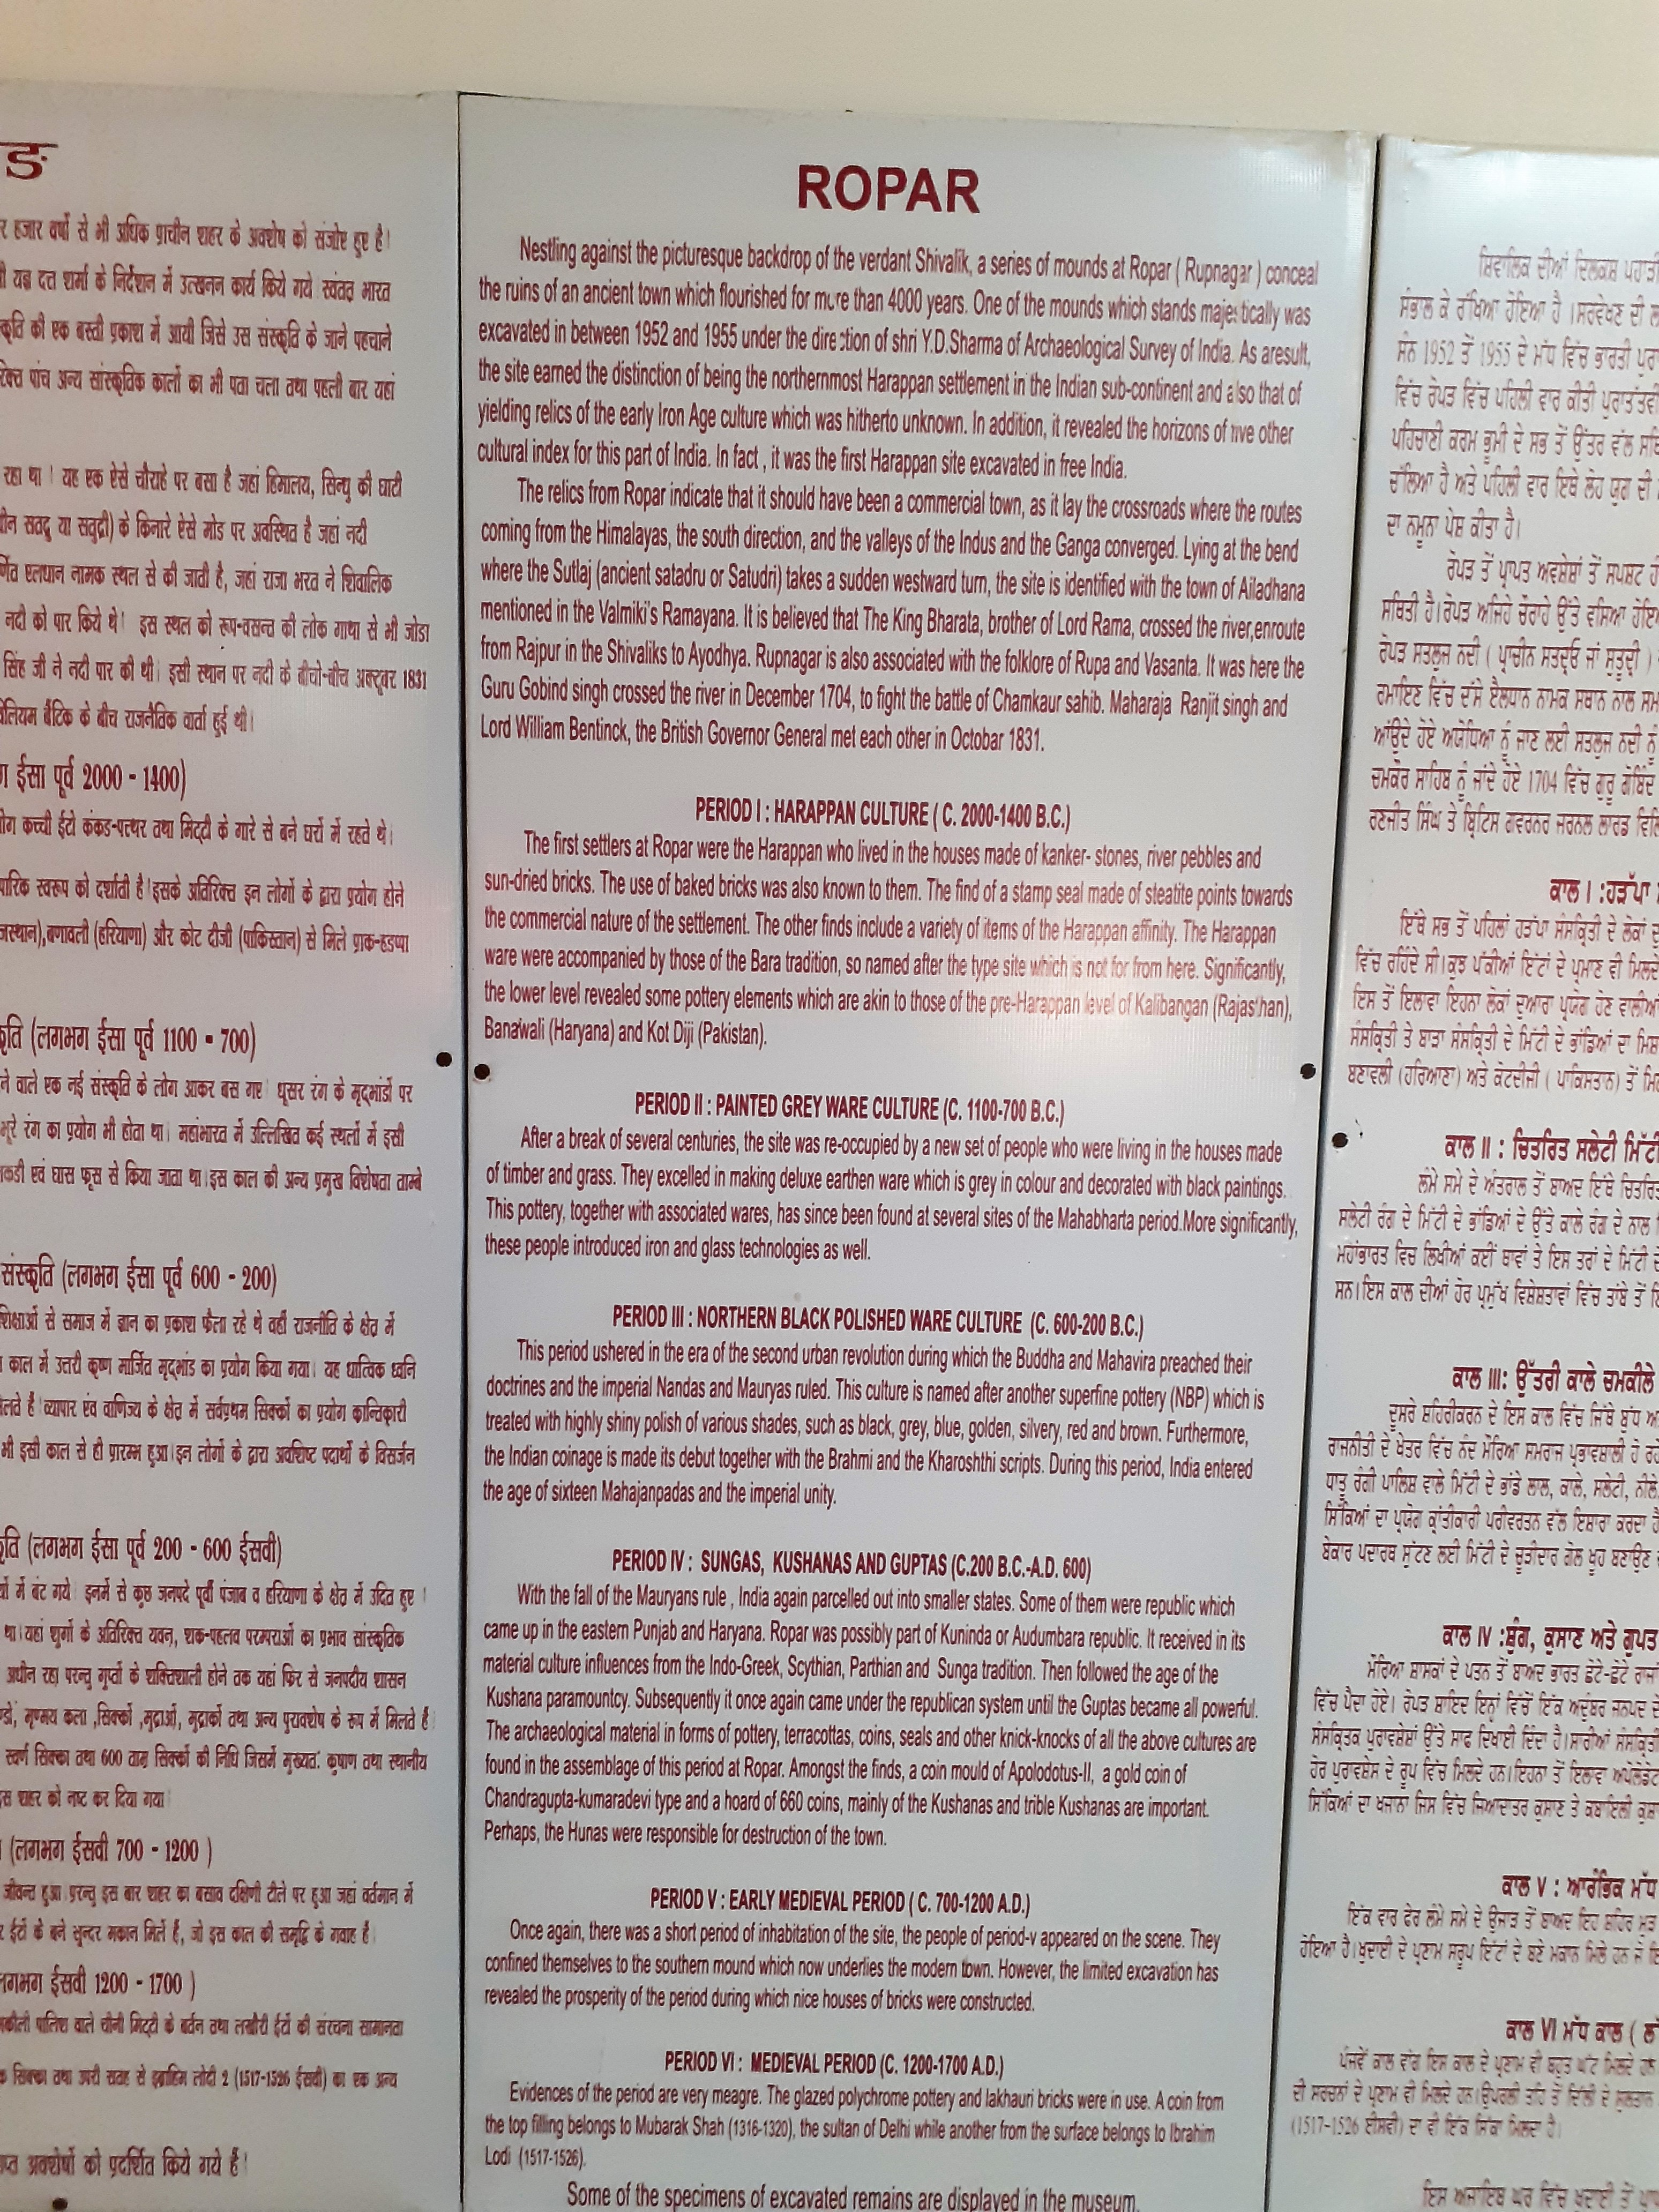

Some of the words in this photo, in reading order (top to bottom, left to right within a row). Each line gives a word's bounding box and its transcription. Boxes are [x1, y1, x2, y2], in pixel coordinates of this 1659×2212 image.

[727, 1887, 778, 1911] EARLY
[752, 1985, 791, 2011] which
[758, 1952, 797, 1979] which
[756, 1919, 832, 1946] inhabitation
[789, 1987, 821, 2011] nice
[796, 1957, 826, 1979] now
[776, 1888, 850, 1914] MEDIEVAL
[831, 1920, 848, 1945] of
[820, 1986, 870, 2011] houses
[825, 1953, 885, 1981] underlies
[847, 1921, 870, 1949] the
[870, 1986, 885, 2011] of
[849, 1888, 909, 1916] PERIOD
[870, 1920, 897, 1951] site
[884, 1955, 909, 1983] the
[885, 1986, 924, 2012] bricks
[899, 1923, 922, 1947] the
[916, 1888, 933, 1915] C.
[908, 1956, 960, 1982] modem
[924, 1991, 960, 2014] were
[933, 1888, 960, 1916] 700
[924, 1924, 970, 1954] people
[958, 1956, 993, 1982] town.
[969, 1923, 987, 1949] of
[962, 1889, 996, 1916] 1200
[958, 1990, 1034, 2012] constructed.
[995, 1889, 1027, 1917] A.D.
[983, 1924, 1039, 1952] period-v
[995, 1955, 1053, 1980] However
[1055, 1956, 1079, 1982] the
[1039, 1925, 1101, 1953] appeared
[1079, 1953, 1125, 1983] limited
[1101, 1927, 1122, 1950] on
[1120, 1923, 1145, 1950] the
[1125, 1960, 1195, 1983] excavation
[1144, 1929, 1183, 1950] scene
[1188, 1926, 1225, 1957] They
[1194, 1958, 1222, 1986] has
[1295, 1927, 1339, 1965] ਹੋਇਆ
[1336, 1930, 1355, 1965] ਹੈ
[1343, 1897, 1378, 1930] ਇੱਕ
[1355, 1933, 1396, 1965] ਖੁਦਾਈ
[1374, 1902, 1401, 1929] ਵਾਰ
[1394, 1932, 1410, 1964] ਦੇ
[1400, 1896, 1424, 1930] ਫੇਰ
[1409, 1934, 1445, 1968] ਪ੍ਰਣਾਮ
[1423, 1896, 1449, 1931] ਲੇਮੇ
[1448, 1899, 1472, 1933] ਸਮੇ
[1444, 1933, 1477, 1973] ਸਰੂਪ
[1470, 1901, 1484, 1932] ਦੇ
[1476, 1933, 1511, 1968] ਇਟਾਂ
[1484, 1902, 1521, 1937] ਉਜਾੜ
[1496, 1871, 1534, 1898] ਕਾਲ
[1509, 1933, 1525, 1968] ਦੇ
[1519, 1903, 1539, 1934] ਤੇਂ
[1525, 1933, 1547, 1967] ਬਣੇ
[1533, 1870, 1551, 1900] V
[1537, 1907, 1576, 1933] ਬਾਅਦ
[1548, 1940, 1583, 1968] ਮਕਾਨ
[1574, 1904, 1603, 1934] ਇਹ
[1581, 1933, 1609, 1968] ਮਿਏ
[1564, 1864, 1631, 1905] ਆਰੰਭਿਕ
[33, 2007, 72, 2039] पालिश
[70, 2008, 96, 2039] वाले
[96, 2007, 128, 2039] चीनी
[124, 2006, 161, 2041] मिट्टी
[161, 2009, 178, 2040] के
[175, 2009, 206, 2039] बर्तन
[204, 2014, 231, 2040] तथा
[230, 2007, 271, 2041] लखौरी
[270, 2007, 295, 2042] ईटो
[293, 2009, 314, 2041] क‍ी
[313, 2009, 356, 2041] संरचना
[356, 2013, 409, 2041] सामानता
[1501, 2013, 1540, 2046] ਕਾਲ
[1540, 2010, 1560, 2046] VI
[1557, 2010, 1592, 2046] ਮਂਧ
[1592, 2016, 1627, 2047] ਕਾਲ
[10, 2058, 51, 2089] सिक्का
[49, 2066, 74, 2089] तथा
[76, 2064, 106, 2088] उपरी
[104, 2065, 133, 2088] सतह
[131, 2060, 148, 2089] से
[148, 2058, 189, 2093] इब्राहि‍म
[188, 2059, 220, 2094] लोदी
[218, 2065, 233, 2093] 2
[236, 2066, 261, 2091] 1517
[265, 2065, 293, 2090] 1526
[293, 2061, 325, 2096] ईसवी
[328, 2067, 350, 2092] कर
[349, 2069, 371, 2094] रक
[371, 2067, 403, 2091] अन्य
[504, 2073, 576, 2105] Evidences
[575, 2076, 592, 2103] of
[591, 2080, 614, 2105] the
[614, 2079, 656, 2110] period
[656, 2083, 681, 2106] are
[662, 2047, 719, 2072] PERIOD
[680, 2083, 710, 2112] very
[718, 2046, 738, 2075] VI
[711, 2085, 761, 2112] meagre
[765, 2081, 792, 2107] The
[746, 2050, 824, 2075] MEDIEVAL
[791, 2080, 835, 2116] glazed
[823, 2051, 878, 2078] PERIOD
[835, 2083, 911, 2114] polychrome
[883, 2050, 901, 2079] C.
[902, 2053, 934, 2079] 1200
[911, 2085, 958, 2114] pottery
[938, 2050, 970, 2078] 1700
[955, 2083, 984, 2111] and
[969, 2051, 1001, 2078] A.D.
[983, 2083, 1036, 2111] lakhauri
[1036, 2082, 1076, 2111] bricks
[1075, 2087, 1109, 2111] were
[1106, 2086, 1124, 2112] in
[1124, 2088, 1150, 2114] use.
[1152, 2086, 1167, 2114] A
[1163, 2086, 1196, 2113] coin
[1195, 2087, 1228, 2112] from
[482, 2110, 505, 2138] the
[506, 2113, 529, 2140] top
[529, 2109, 567, 2142] filling
[565, 2110, 617, 2144] belongs
[617, 2112, 634, 2141] to
[633, 2112, 691, 2137] Mubarak
[690, 2112, 728, 2139] Shah
[730, 2113, 760, 2138] 1316
[763, 2117, 790, 2139] 1320)
[797, 2113, 823, 2140] the
[821, 2114, 861, 2141] sultan
[860, 2113, 879, 2141] of
[877, 2113, 914, 2141] Delhi
[914, 2116, 947, 2142] while
[947, 2116, 998, 2141] another
[997, 2116, 1029, 2141] from
[1029, 2118, 1053, 2146] the
[1052, 2117, 1101, 2143] surface
[1100, 2117, 1153, 2149] belongs
[1153, 2120, 1168, 2146] to
[1166, 2118, 1219, 2147] Ibrahim
[1293, 2112, 1327, 2138] 1517
[1331, 2110, 1362, 2139] 1526
[26, 2141, 82, 2179] अवशेर्षो
[81, 2143, 106, 2179] काे
[106, 2142, 160, 2181] प्रदर्शित
[160, 2141, 196, 2181] किये
[196, 2143, 225, 2179] गये
[226, 2142, 244, 2180] र्है
[482, 2141, 514, 2166] Lodi
[521, 2144, 551, 2170] 1517
[552, 2146, 581, 2167] 1526
[563, 2178, 615, 2210] Some
[612, 2178, 634, 2209] of
[632, 2177, 663, 2209] the
[661, 2177, 750, 2211] specimens
[748, 2181, 768, 2210] of
[766, 2183, 851, 2210] excavated
[851, 2182, 915, 2210] remains
[916, 2190, 946, 2211] are
[946, 2183, 1022, 2211] displayed
[1023, 2184, 1040, 2211] in
[1040, 2185, 1068, 2211] the
[1071, 2188, 1142, 2211] museum